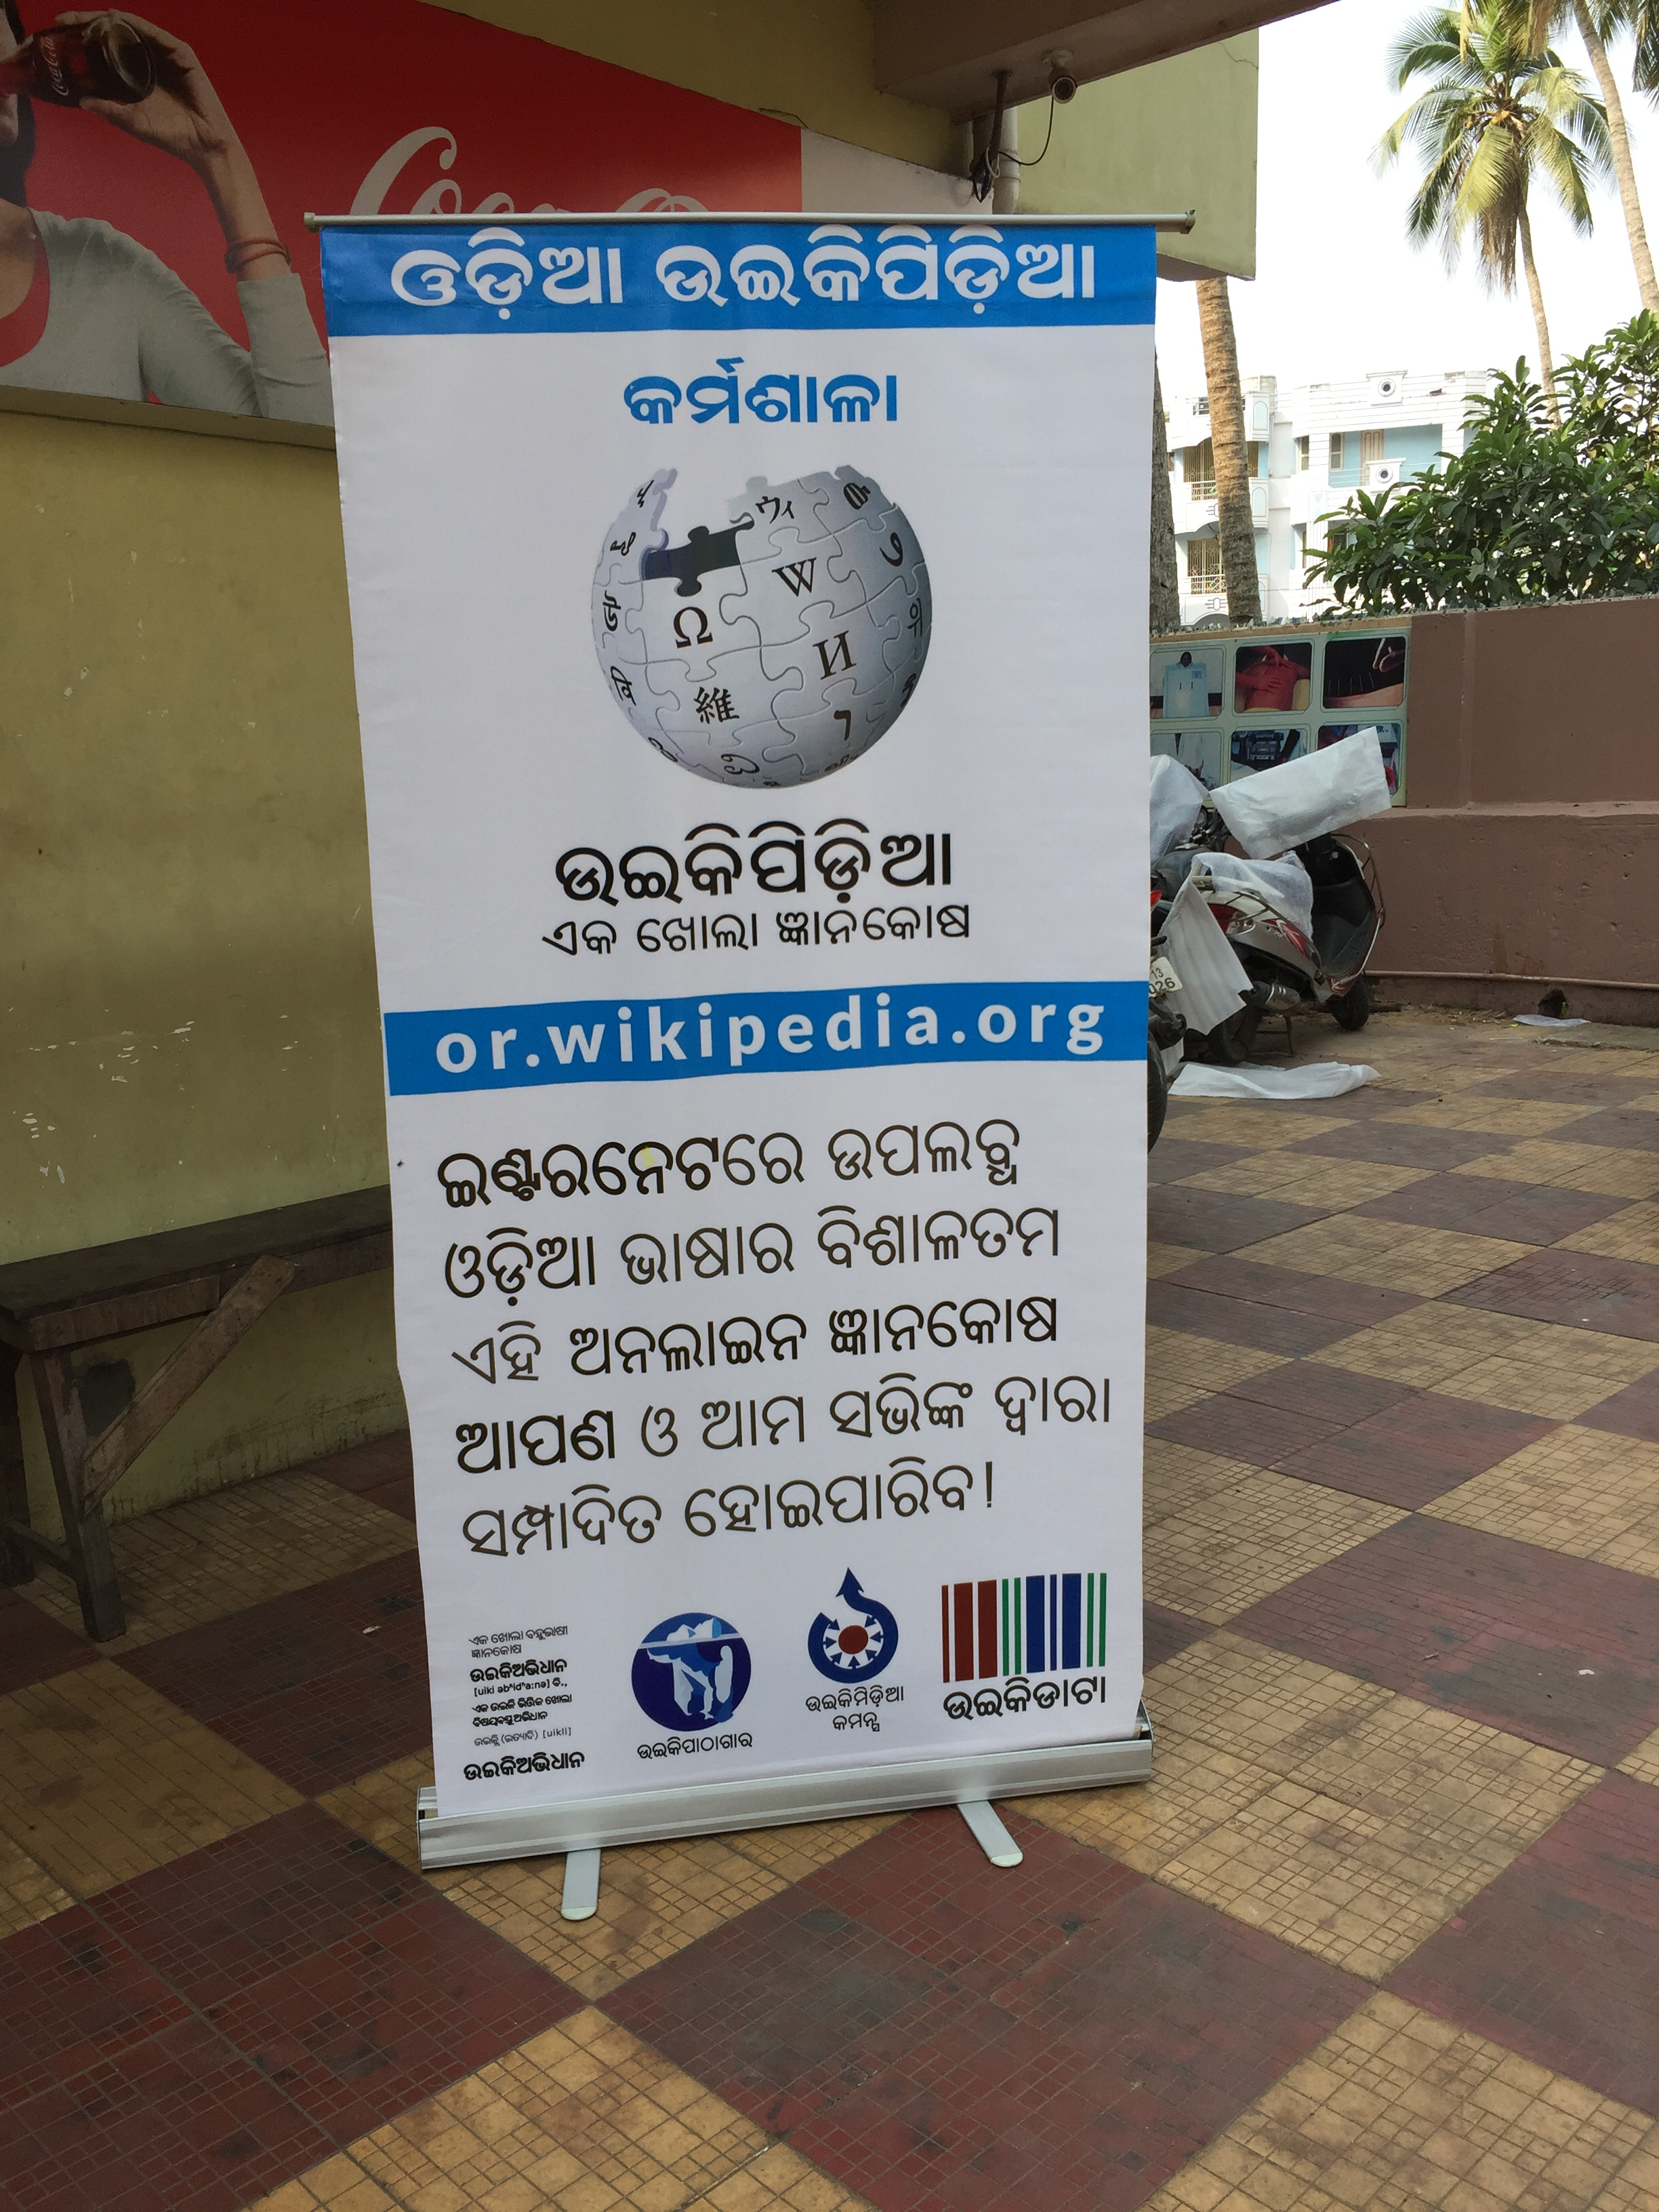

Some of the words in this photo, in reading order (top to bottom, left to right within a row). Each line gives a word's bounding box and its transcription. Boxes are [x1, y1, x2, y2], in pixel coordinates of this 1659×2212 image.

[379, 218, 631, 325] ଓଡ଼ିଆ
[640, 213, 1101, 319] ଉଇକିପିଡ଼ିଆ
[615, 348, 903, 426] କର୍ମଶାଳା
[541, 813, 957, 912] ଉଇକିପିଡ଼ିଆ
[535, 914, 626, 964] ଏକ
[634, 906, 766, 958] ଖୋଲା
[767, 897, 977, 954] ଜ୍ଞାନକୋଷ
[428, 983, 1112, 1082] or.wikipedia.org
[433, 1128, 809, 1212] ଇଣ୍ଟରନେଟରେ
[817, 1111, 1025, 1194] ଉପଲବ୍ଧ
[437, 1216, 600, 1309] ଓଡ଼ିଆ
[617, 1216, 798, 1288] ଭାଷାର
[810, 1195, 1067, 1275] ବିଶାଳତମ
[442, 1311, 543, 1393] ଏହି
[558, 1309, 815, 1379] ଅନଲାଇନ
[823, 1291, 1065, 1360] ଜ୍ଞାନକୋଷ
[452, 1407, 618, 1478] ଆପଣ
[630, 1389, 813, 1458] ଓଆମ
[825, 1358, 977, 1445] ସଭିଙ୍କ
[992, 1365, 1116, 1442] ଦ୍ବାରା
[461, 1475, 672, 1565] ସମ୍ପାଦିତ
[680, 1447, 1002, 1544] ହୋଇପାରିବ !
[467, 1631, 492, 1649] ଏକ
[472, 1732, 501, 1750] ଉଇକ୍ଲି
[468, 1695, 516, 1714] ଏକ ଉଇକି
[468, 1641, 525, 1664] ଜ୍ଞାନକୋଷ
[488, 1624, 525, 1647] ଖୋଲା
[468, 1708, 552, 1729] ବିଷୟବସ୍ତୁ ଅଭିଧାନ
[502, 1729, 535, 1746] ଇତ୍ୟାଦି
[467, 1656, 572, 1686] ଉଇକିଅଭିଧାନ
[463, 1748, 589, 1785] ଉଇକିଅଭିଧାନ
[514, 1693, 545, 1712] ଭିଭିକ
[521, 1622, 571, 1642] ବହୁଭାଷୀ
[543, 1725, 571, 1742] uikli]
[544, 1691, 574, 1707] ଖୋଲା
[636, 1730, 754, 1763] ଉଇକିପାଠାଗାର
[803, 1681, 907, 1717] ଉଇକିମିଡ଼ିଆ
[829, 1708, 886, 1736] କମନ୍ସ
[941, 1671, 1109, 1724] ଉଇକିଡାଟା